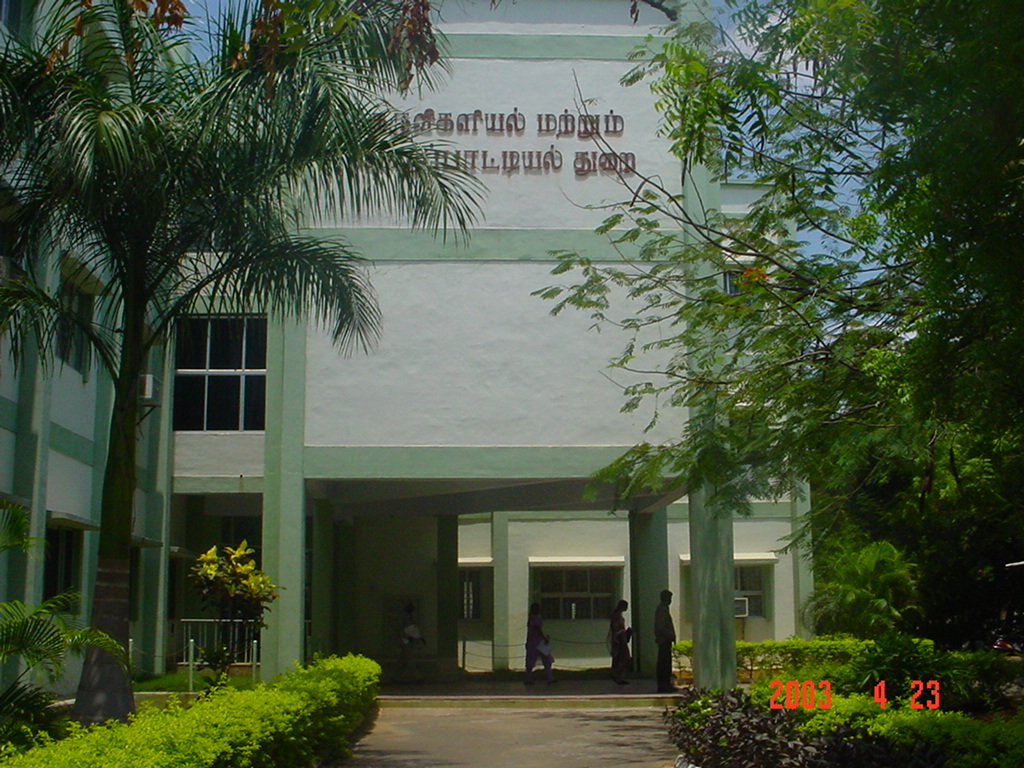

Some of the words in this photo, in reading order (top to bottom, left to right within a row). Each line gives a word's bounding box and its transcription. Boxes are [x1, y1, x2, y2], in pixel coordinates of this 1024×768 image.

[399, 98, 534, 140] விகளியல்
[534, 102, 629, 137] மற்றும்
[426, 136, 571, 177] பாடடியல்
[569, 146, 643, 179] துறை
[767, 676, 836, 714] 2003
[866, 675, 943, 715] 423